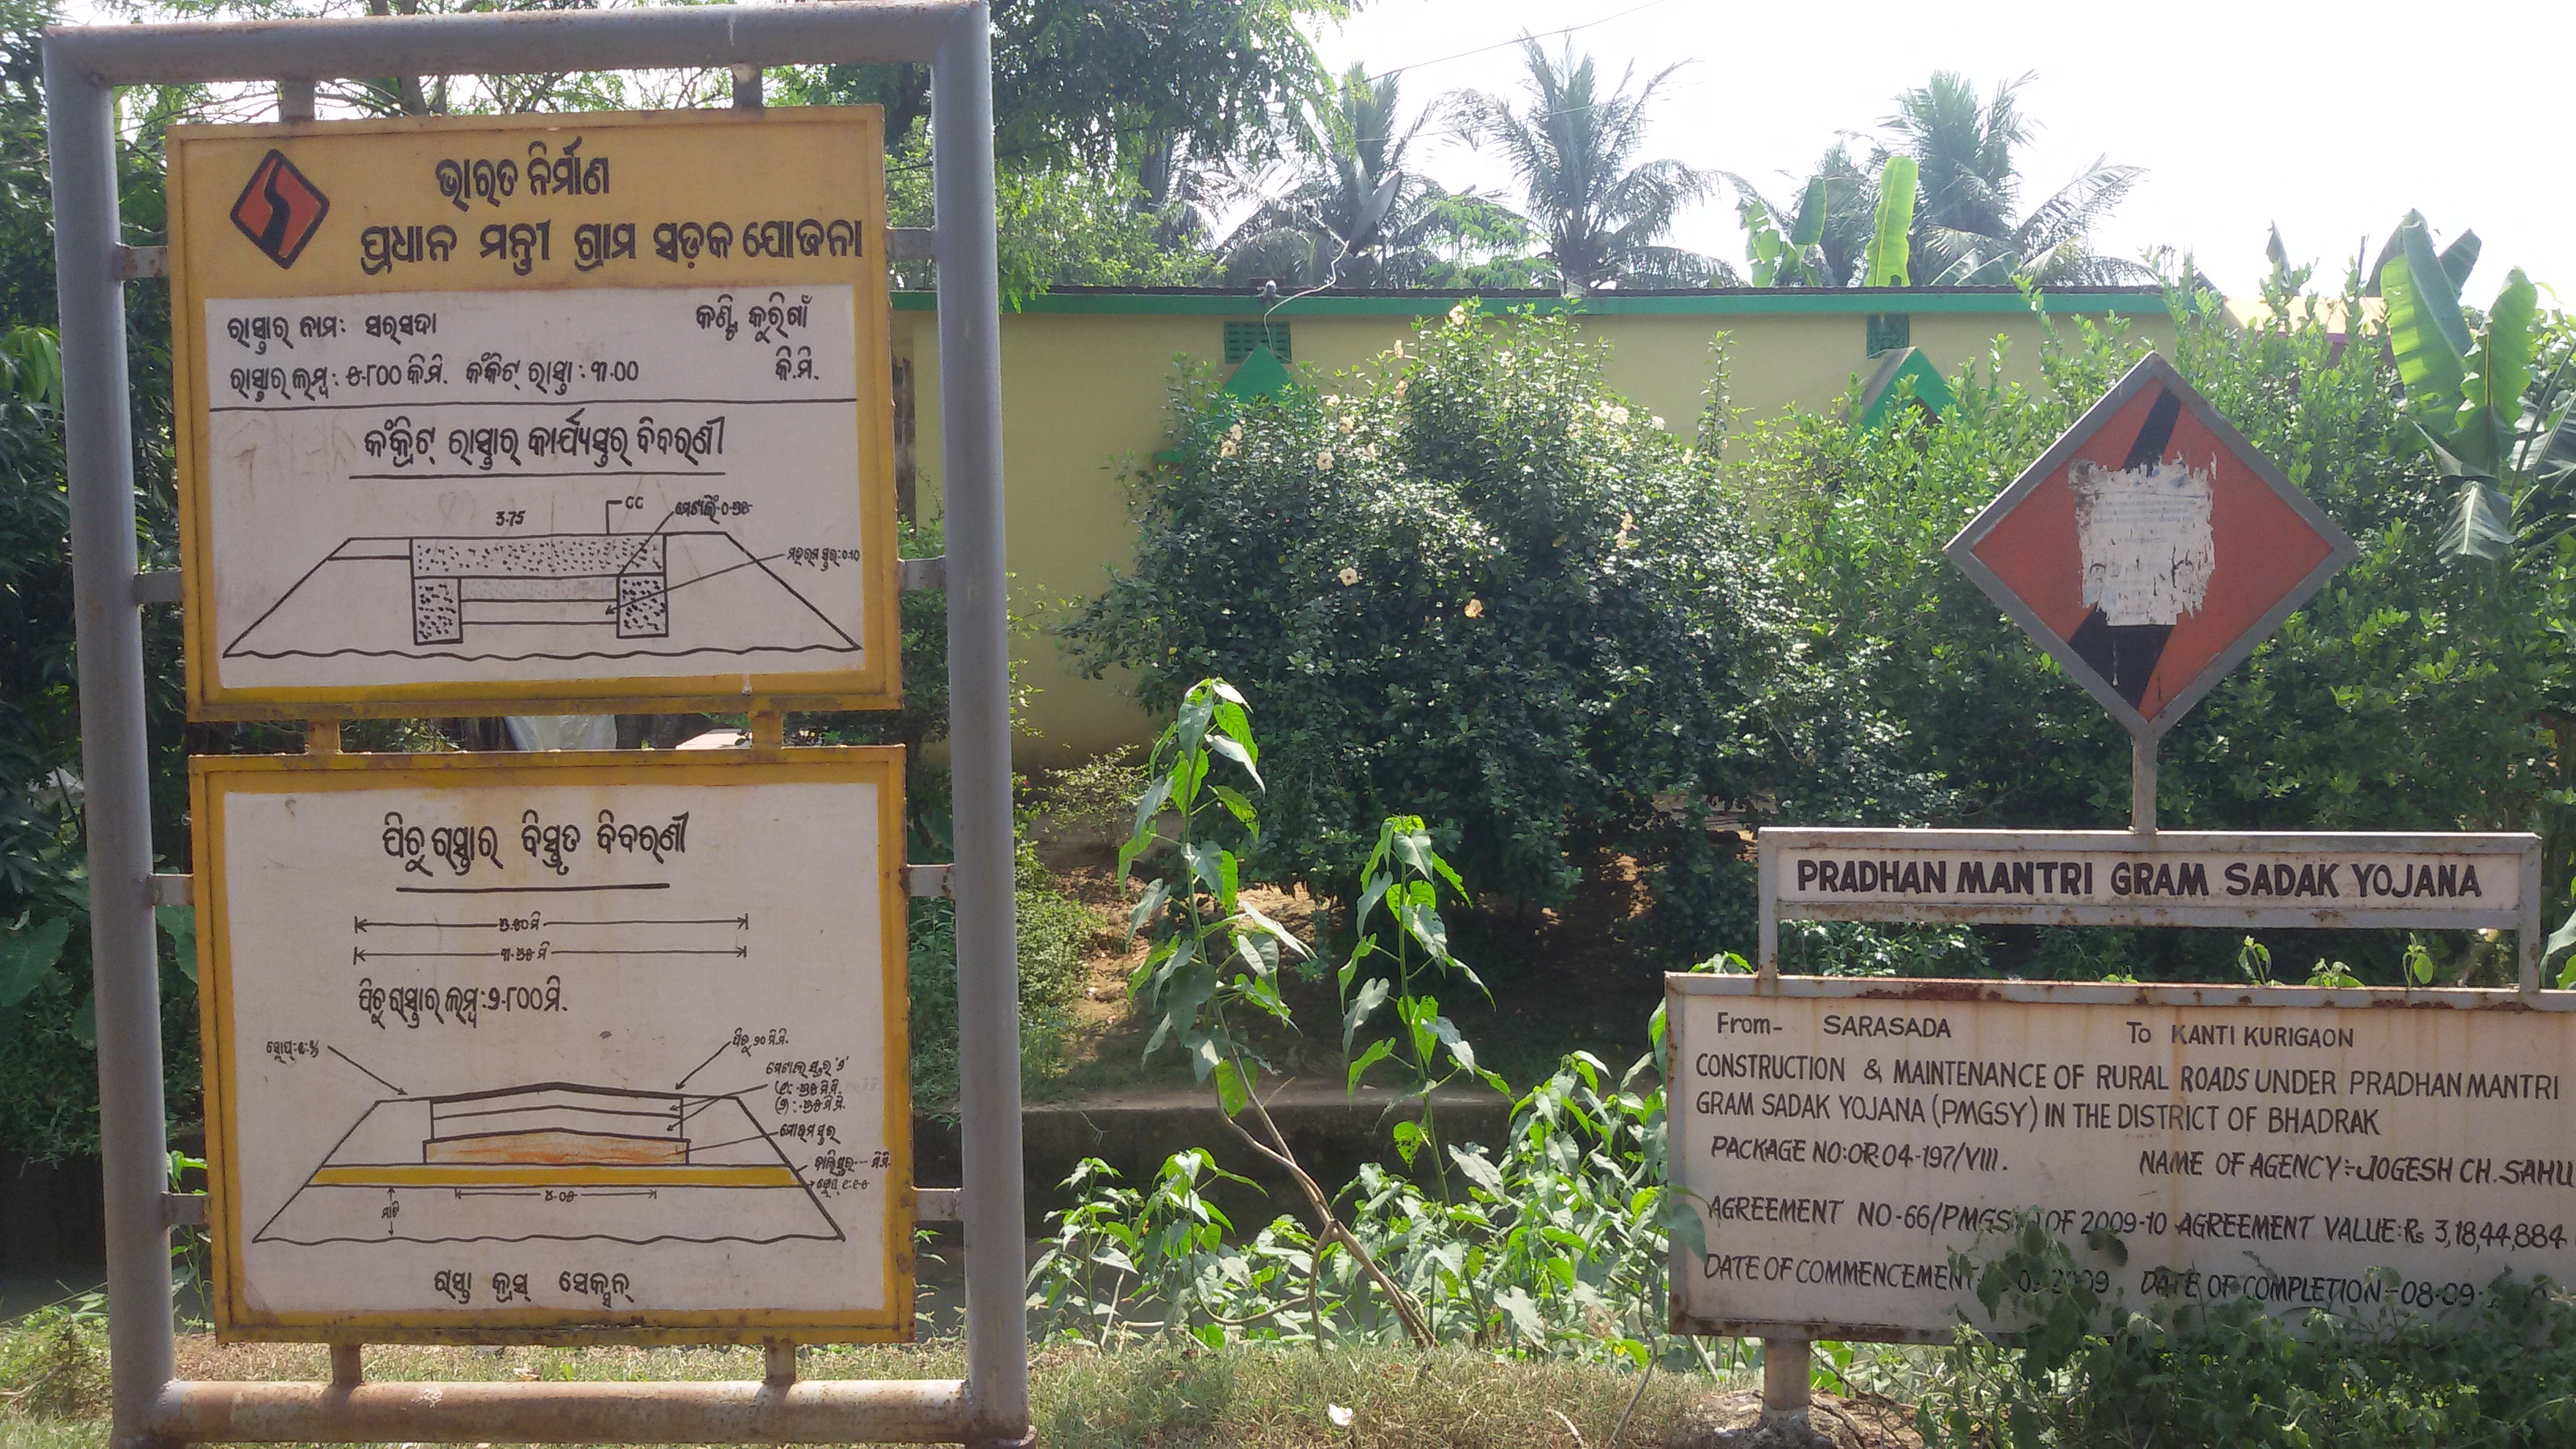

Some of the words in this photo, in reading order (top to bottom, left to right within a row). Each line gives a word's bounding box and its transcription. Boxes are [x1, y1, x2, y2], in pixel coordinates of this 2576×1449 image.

[428, 142, 522, 216] ଭାରତ
[519, 134, 624, 203] ନିର୍ମାଣ
[354, 215, 462, 278] ପ୍ରଧାନ
[470, 211, 560, 279] ମନ୍ତ୍ରୀ
[562, 208, 642, 283] ଗ୍ରାମ
[644, 208, 738, 274] ସଡ଼କ
[739, 215, 867, 262] ଯୋଜନା
[223, 311, 296, 361] ରାସ୍ତାର
[293, 307, 347, 345] ନାମ:
[362, 309, 438, 347] ସରସଦା
[690, 285, 743, 346] କଣ୍ଟି
[744, 280, 815, 348] କୁରିଗାଁ
[226, 361, 331, 402] ରାସ୍ତାର ଲମ୍ବ
[338, 346, 447, 394] ୫-୮୦୦ କି ମି
[462, 345, 526, 391] କଂକିଟ
[524, 353, 577, 398] ରାସ୍ତା
[581, 353, 642, 390] 97.00
[769, 339, 820, 383] କି.ମି.
[359, 410, 442, 471] କକିଟ୍
[445, 422, 523, 474] ରାସ୍ମାର୍
[528, 402, 634, 472] କାର୍ଯ୍ୟସୃର୍
[628, 406, 730, 466] ବିବରଣା
[491, 502, 530, 530] 3.75
[376, 805, 435, 880] ପିଚୁ
[422, 813, 507, 878] ଗସ୍ତାର
[511, 797, 590, 881] ବିସ୍ତୃତ
[587, 801, 691, 867] ବିବରଣା
[1795, 854, 1950, 896] PRADHAN
[1953, 859, 2096, 898] MANTRI
[2106, 856, 2213, 901] GRAM
[2218, 856, 2342, 899] SADAK
[2348, 855, 2484, 902] YOJANA
[348, 969, 445, 1032] ପିତୁ ଗସ୍ତାର
[439, 967, 571, 1028] ଲମ୍ବ :୨-୮୦୦ମି
[1714, 1008, 1779, 1038] From-
[1821, 1009, 1952, 1043] SARASADA
[2121, 1018, 2158, 1050] To
[2168, 1017, 2239, 1046] KANTI
[2242, 1020, 2357, 1050] KURIGAON
[1694, 1087, 1756, 1118] GRAM
[1692, 1050, 1846, 1085] CONSTRUCTION
[1760, 1088, 1833, 1121] SADAK
[1859, 1058, 1885, 1083] &
[1838, 1091, 1930, 1126] YOJANA
[1887, 1054, 2050, 1091] MAINTENANCE
[1936, 1098, 2027, 1128] PMGSY
[2041, 1098, 2068, 1130] IN
[2046, 1058, 2089, 1095] OF
[2070, 1095, 2112, 1133] THE
[2089, 1055, 2172, 1096] RURAL
[2117, 1099, 2218, 1133] DISTRICT
[2175, 1059, 2258, 1095] ROADS
[2217, 1099, 2260, 1138] OF
[2246, 1063, 2338, 1096] UNDER
[2266, 1103, 2379, 1140] BHADRAK
[2345, 1067, 2560, 1103] PRADHANMANTRI
[869, 1144, 893, 1172] ମି ମି.
[1710, 1131, 1809, 1166] PACKAGE
[1808, 1136, 1915, 1171] NO:OR-04
[1916, 1138, 2009, 1178] 197/VIII
[2132, 1142, 2207, 1181] NAME
[2211, 1146, 2254, 1181] OF
[2245, 1148, 2350, 1183] AGENCY
[2354, 1151, 2456, 1183] JOGESH
[2457, 1150, 2499, 1186] CH.
[543, 1185, 578, 1204] ୪.୦୪
[1707, 1193, 1846, 1228] AGREEMENT
[1850, 1195, 1896, 1233] NO
[1899, 1199, 2020, 1234] 66/PMGS
[2030, 1201, 2081, 1237] OF
[2075, 1204, 2170, 1237] 2009-10
[2171, 1208, 2320, 1241] AGREEMENT
[2317, 1210, 2398, 1248] VALUE
[2403, 1212, 2430, 1245] Rs
[2434, 1215, 2507, 1249] 3,18,44
[432, 1266, 477, 1307] ରାସ୍ତା
[485, 1266, 536, 1307] କ୍ବସ୍
[552, 1267, 642, 1312] ସେକ୍ସକ୍
[1702, 1249, 1761, 1282] DATE
[1761, 1252, 1792, 1284] OF
[1791, 1253, 1977, 1296] COMMENCEMENT
[2133, 1267, 2203, 1301] DATE
[2203, 1266, 2237, 1303] OF
[2241, 1270, 2386, 1309] COMPLETION
[2391, 1275, 2481, 1312] 08.09